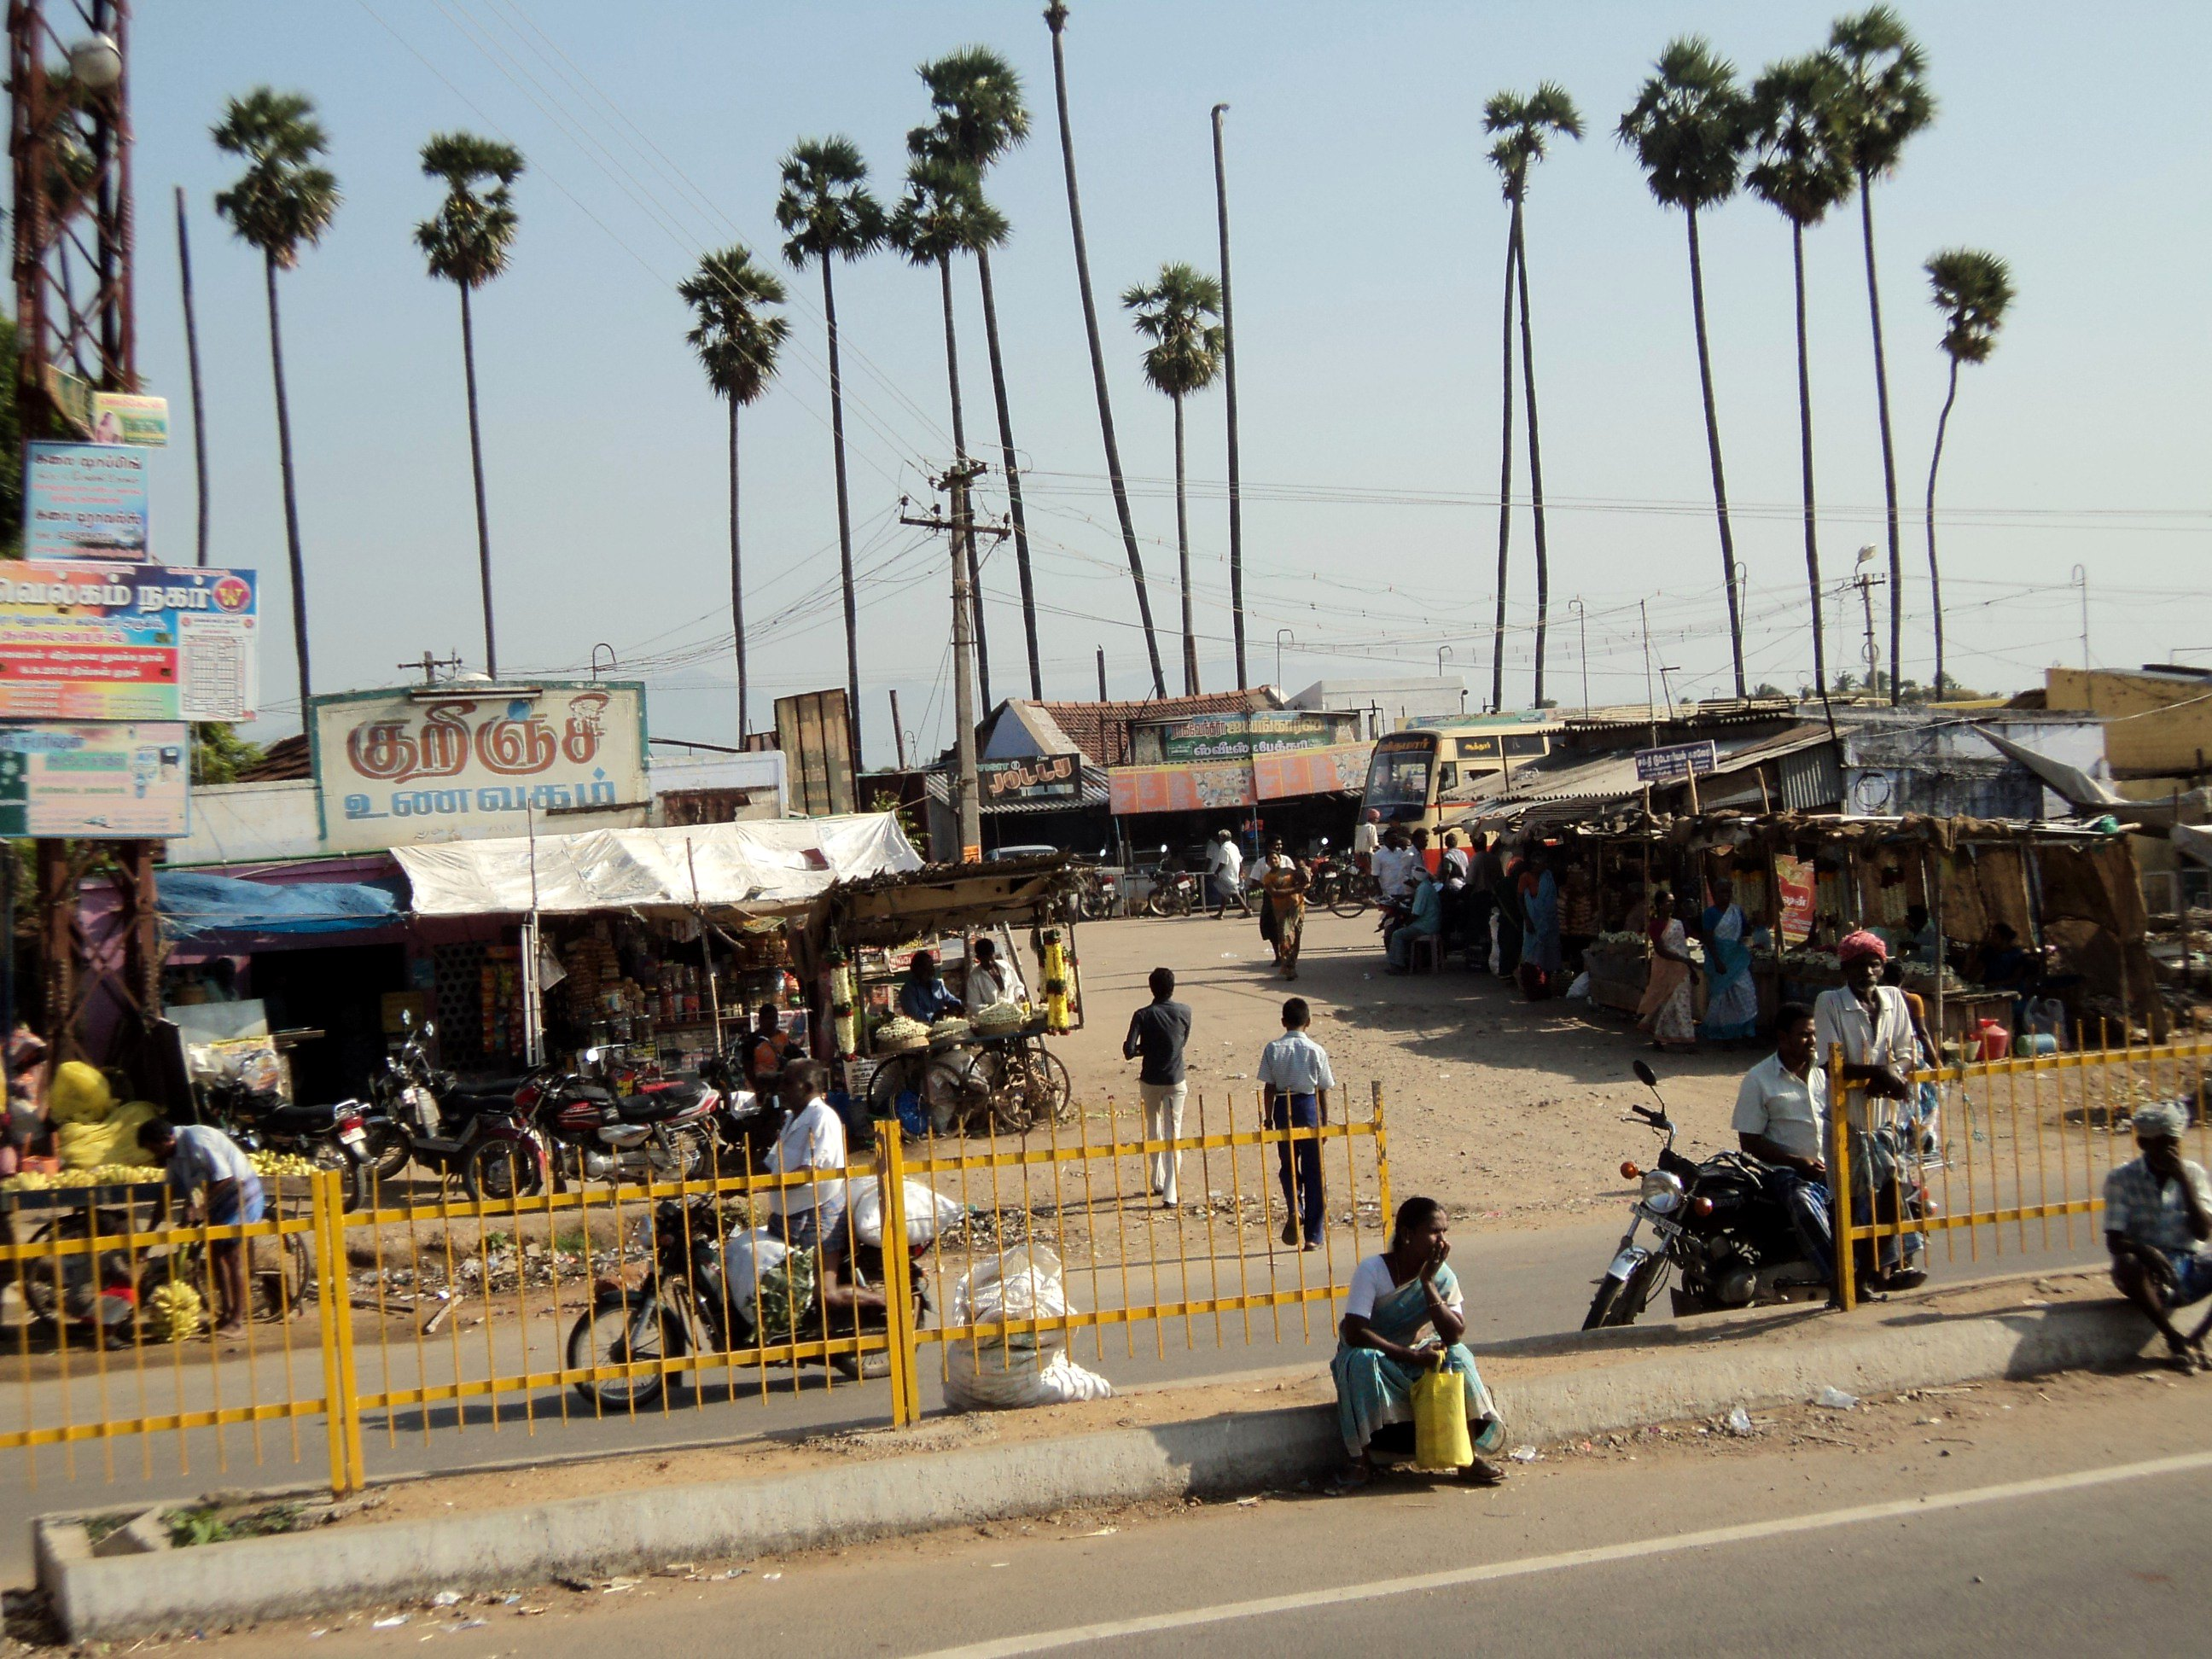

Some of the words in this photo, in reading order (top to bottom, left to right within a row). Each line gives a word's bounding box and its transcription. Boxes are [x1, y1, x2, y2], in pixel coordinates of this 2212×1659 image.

[33, 450, 79, 470] கலை
[78, 448, 146, 474] ஷாப்பிங்
[1, 568, 136, 610] வல்கம்
[131, 574, 215, 620] நகா்
[342, 684, 614, 786] குறிஞசி
[1169, 713, 1230, 742] ராகவேந்தரா
[1189, 737, 1254, 760] ஸ்வீட்ஸ்
[1251, 736, 1310, 758] பேக்கரி
[1371, 736, 1434, 755] ரவிதமரர்
[339, 760, 623, 822] உணவகம்
[987, 754, 1077, 800] JOLLY